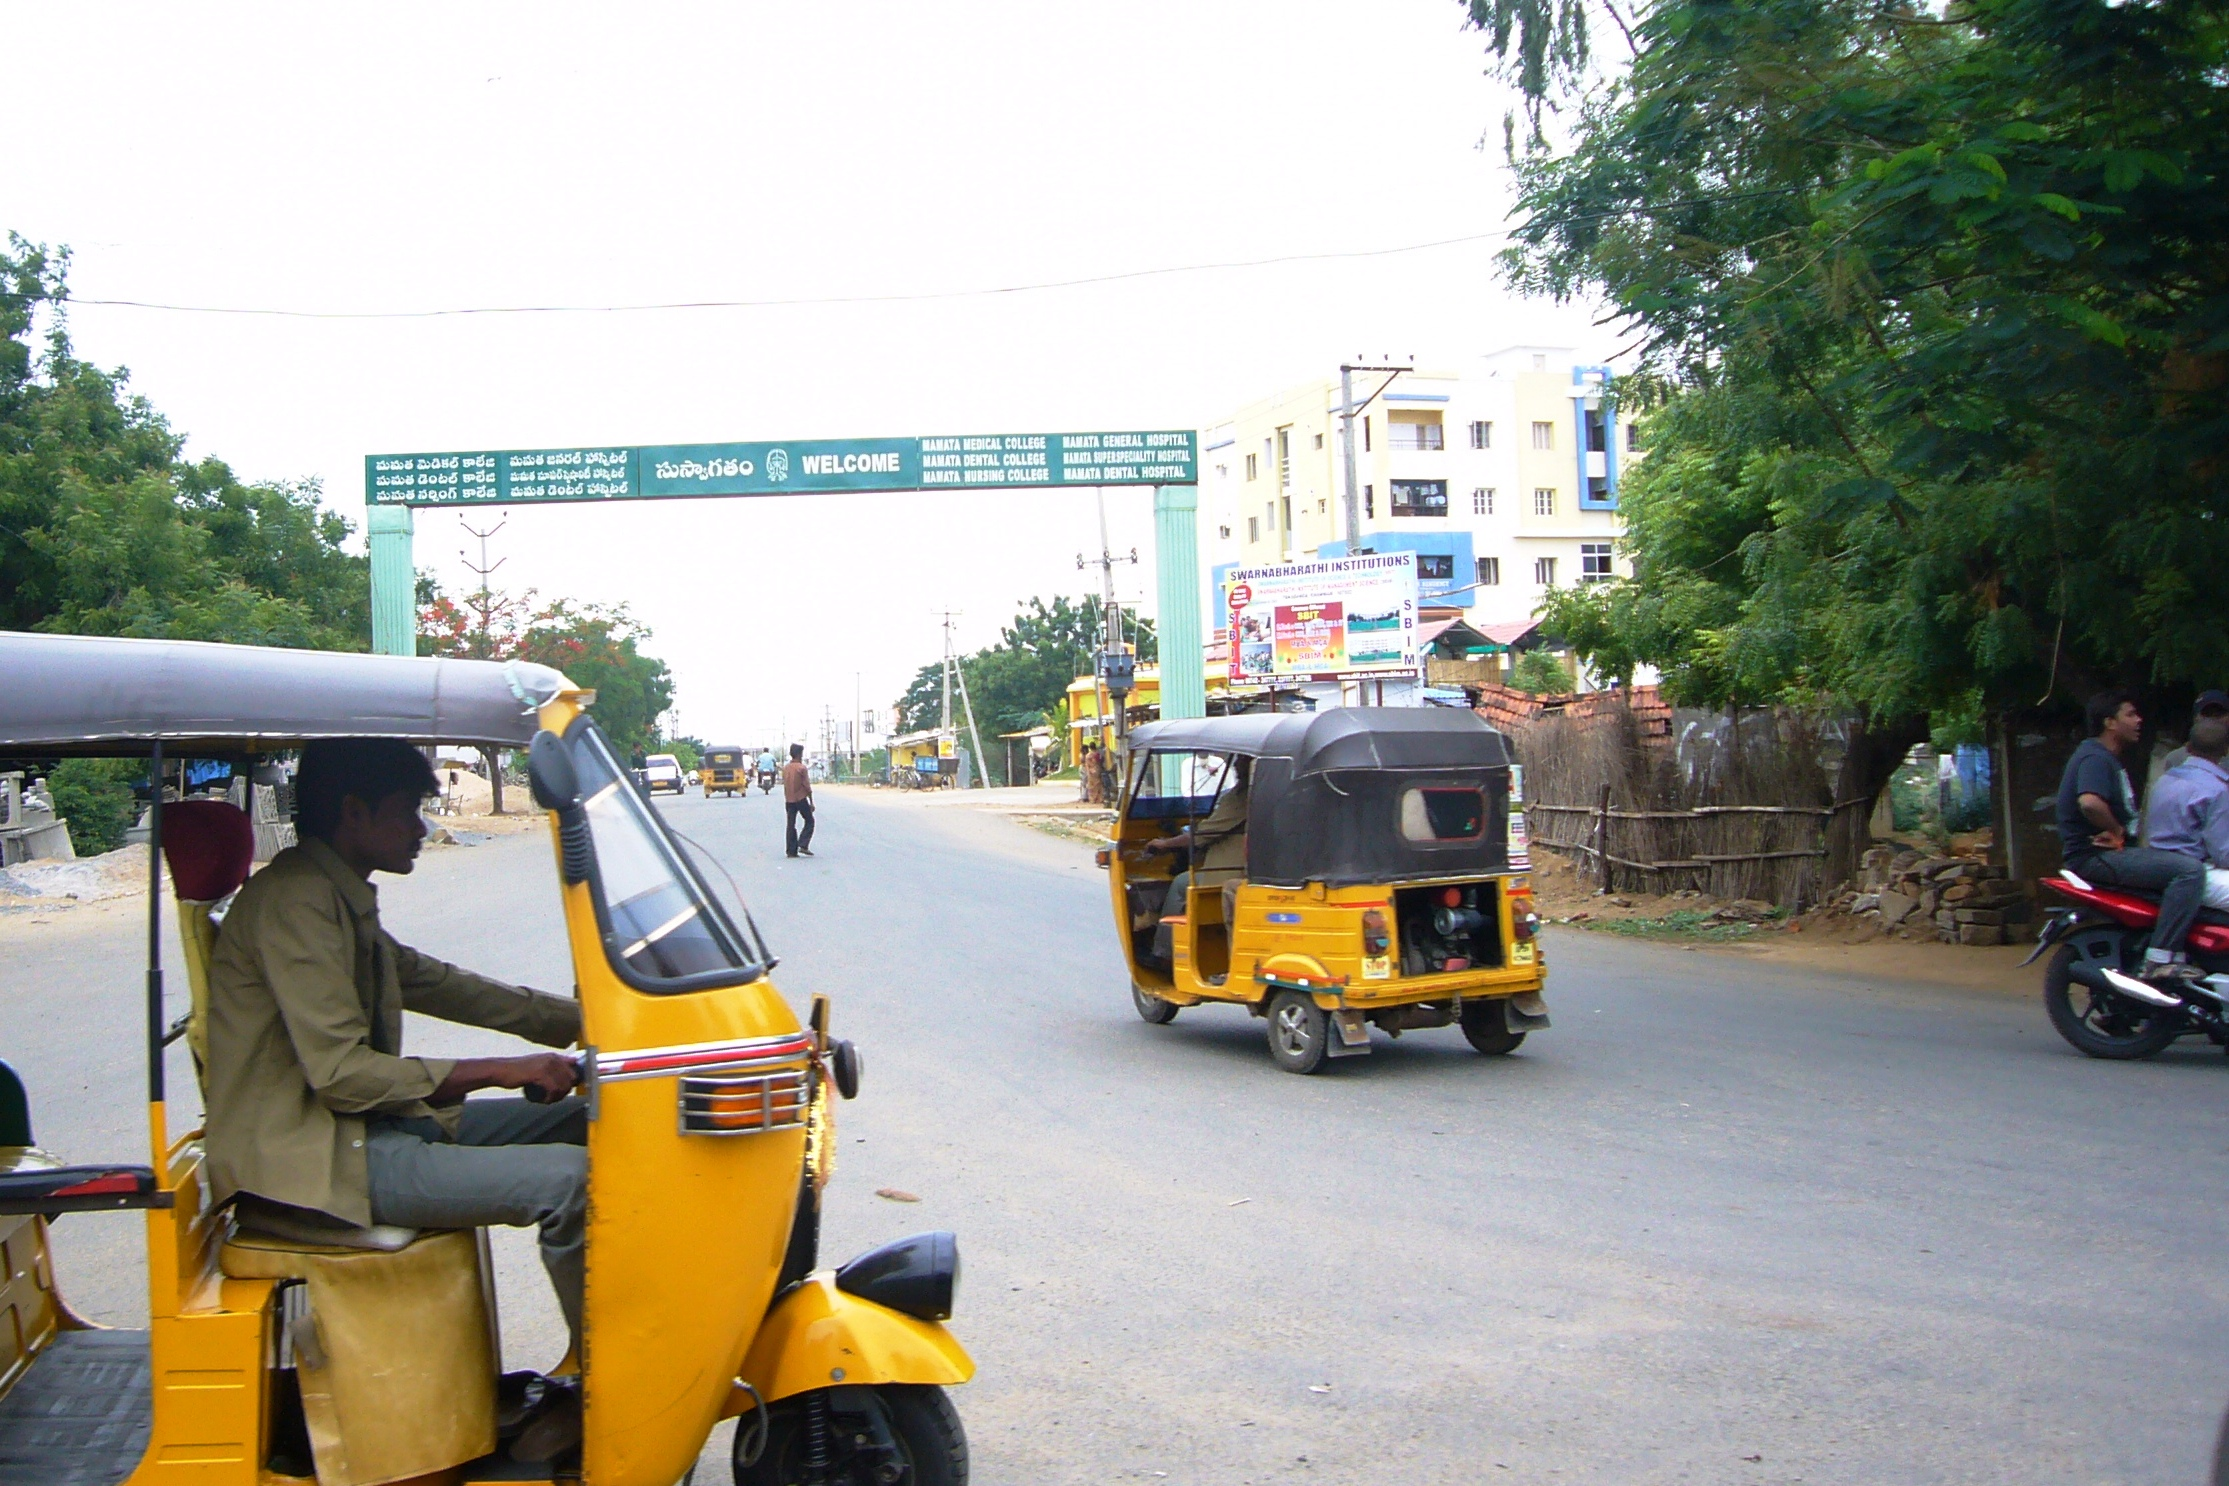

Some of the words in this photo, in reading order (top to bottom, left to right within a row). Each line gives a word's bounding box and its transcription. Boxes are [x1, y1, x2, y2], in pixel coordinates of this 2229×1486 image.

[371, 457, 417, 474] మమత
[370, 471, 419, 491] మమత
[373, 487, 419, 507] మమత
[413, 467, 462, 490] డెంటల్
[414, 484, 461, 505] నర్సింగ్
[413, 453, 465, 476] మెడికల్
[458, 452, 501, 475] కాలేజి
[460, 467, 501, 487] కాలేజ
[458, 483, 503, 506] కాలేజి
[506, 467, 539, 487] మమత
[503, 449, 547, 472] మమత
[507, 480, 549, 501] మమత
[543, 447, 586, 469] జనరల్
[533, 464, 596, 487] సూపర్ స్పెషాలిటీ
[543, 479, 590, 499] డెంటల్
[580, 446, 632, 473] హాస్పిటల్
[585, 478, 631, 503] హాస్పిటల్
[590, 463, 633, 484] హాస్పిటల్
[653, 454, 759, 484] సుస్వాగతం
[798, 449, 906, 480] WELCOME
[912, 435, 963, 459] MAMATA
[919, 451, 965, 474] MAMATA
[919, 467, 965, 489] MAMATA
[959, 433, 1006, 460] MEDICAL
[960, 447, 1006, 473] DENTAL
[961, 465, 1009, 489] NURSING
[1001, 433, 1051, 453] COLLEGE
[1001, 449, 1051, 469] COLLEGE
[1004, 464, 1055, 486] COLLEGE
[1058, 448, 1096, 469] MAMATA
[1059, 432, 1103, 453] MAMATA
[1058, 464, 1106, 488] MAMATA
[1101, 463, 1143, 485] DENTAL
[1101, 428, 1147, 453] GENERAL
[1090, 445, 1159, 469] SUPERSPECIALITY
[1136, 461, 1191, 483] HOSPITAL
[1141, 430, 1193, 451] HOSPITAL
[1152, 446, 1194, 465] HOSPITAL
[1224, 559, 1333, 586] SWARNABHARATHI
[1326, 550, 1414, 576] INSTITUTIONS